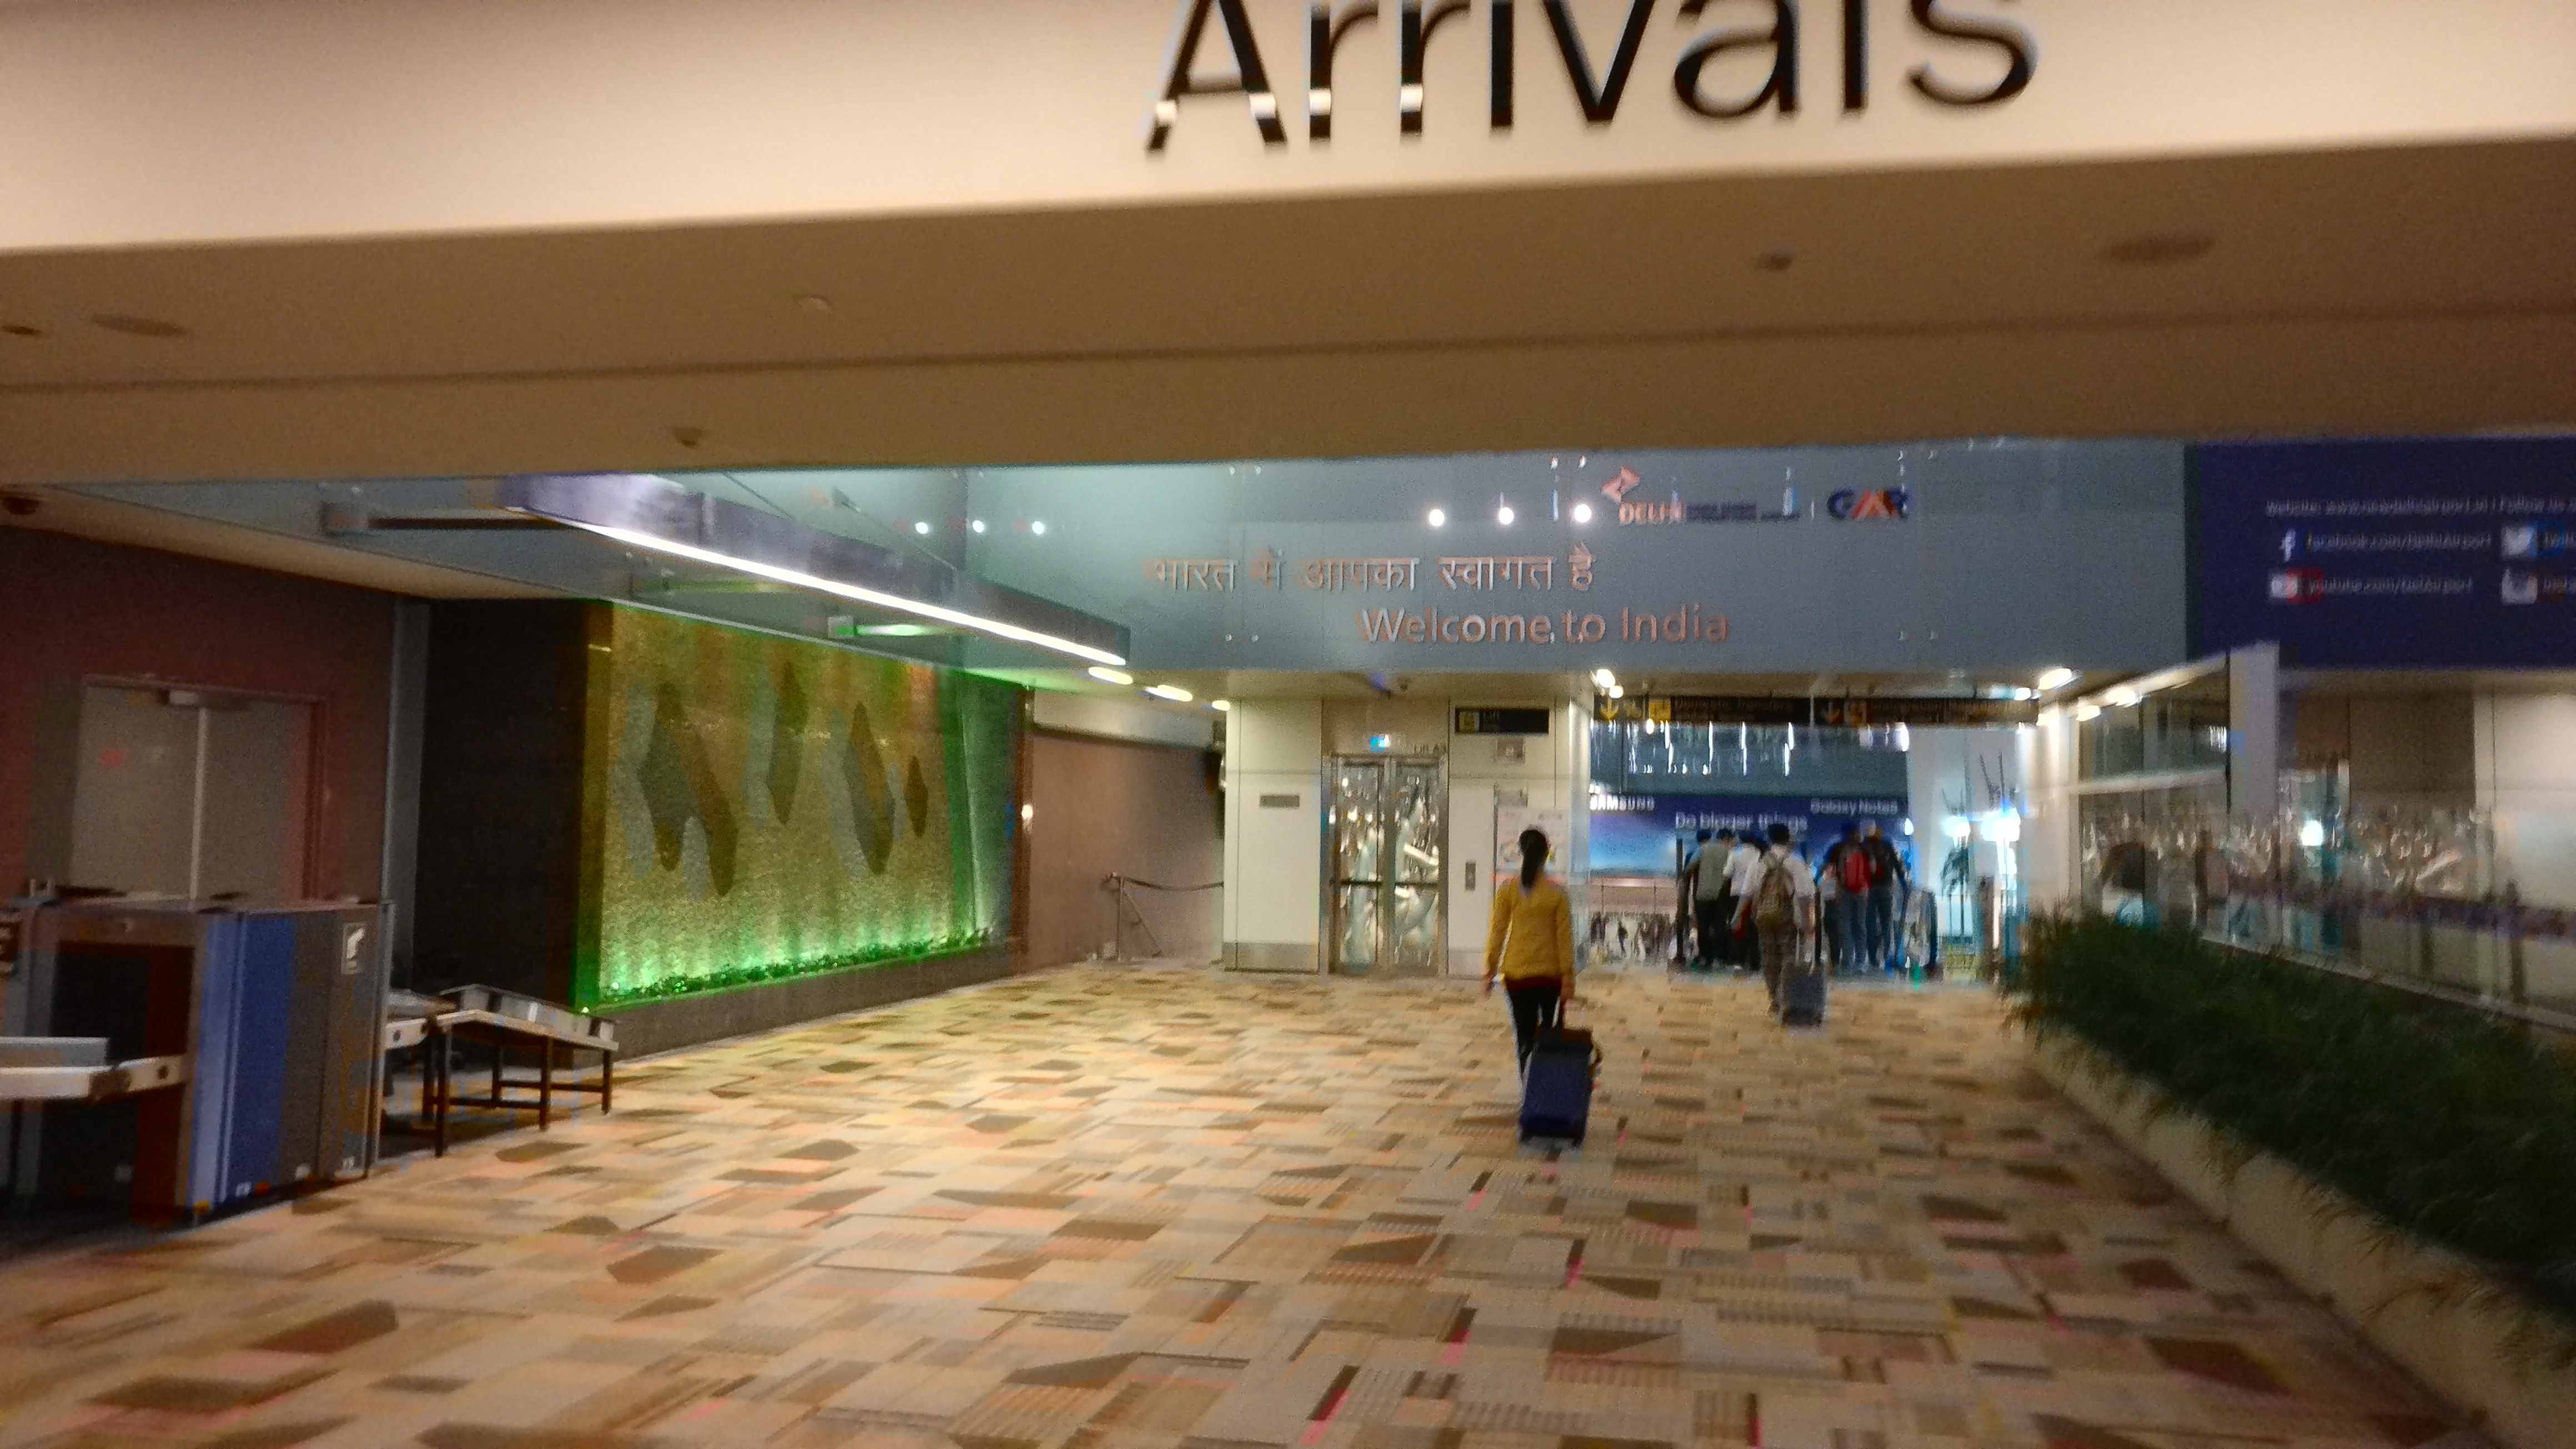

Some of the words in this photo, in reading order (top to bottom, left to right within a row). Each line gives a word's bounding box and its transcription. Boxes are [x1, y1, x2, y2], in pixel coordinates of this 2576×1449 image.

[1153, 556, 1240, 595] भारत
[1258, 542, 1287, 592] में
[1305, 556, 1423, 594] आपका
[1436, 554, 1558, 592] स्‍वागत
[1564, 539, 1599, 592] है
[1362, 605, 1555, 644] Welcome
[1561, 608, 1608, 647] to
[1620, 602, 1728, 643] India